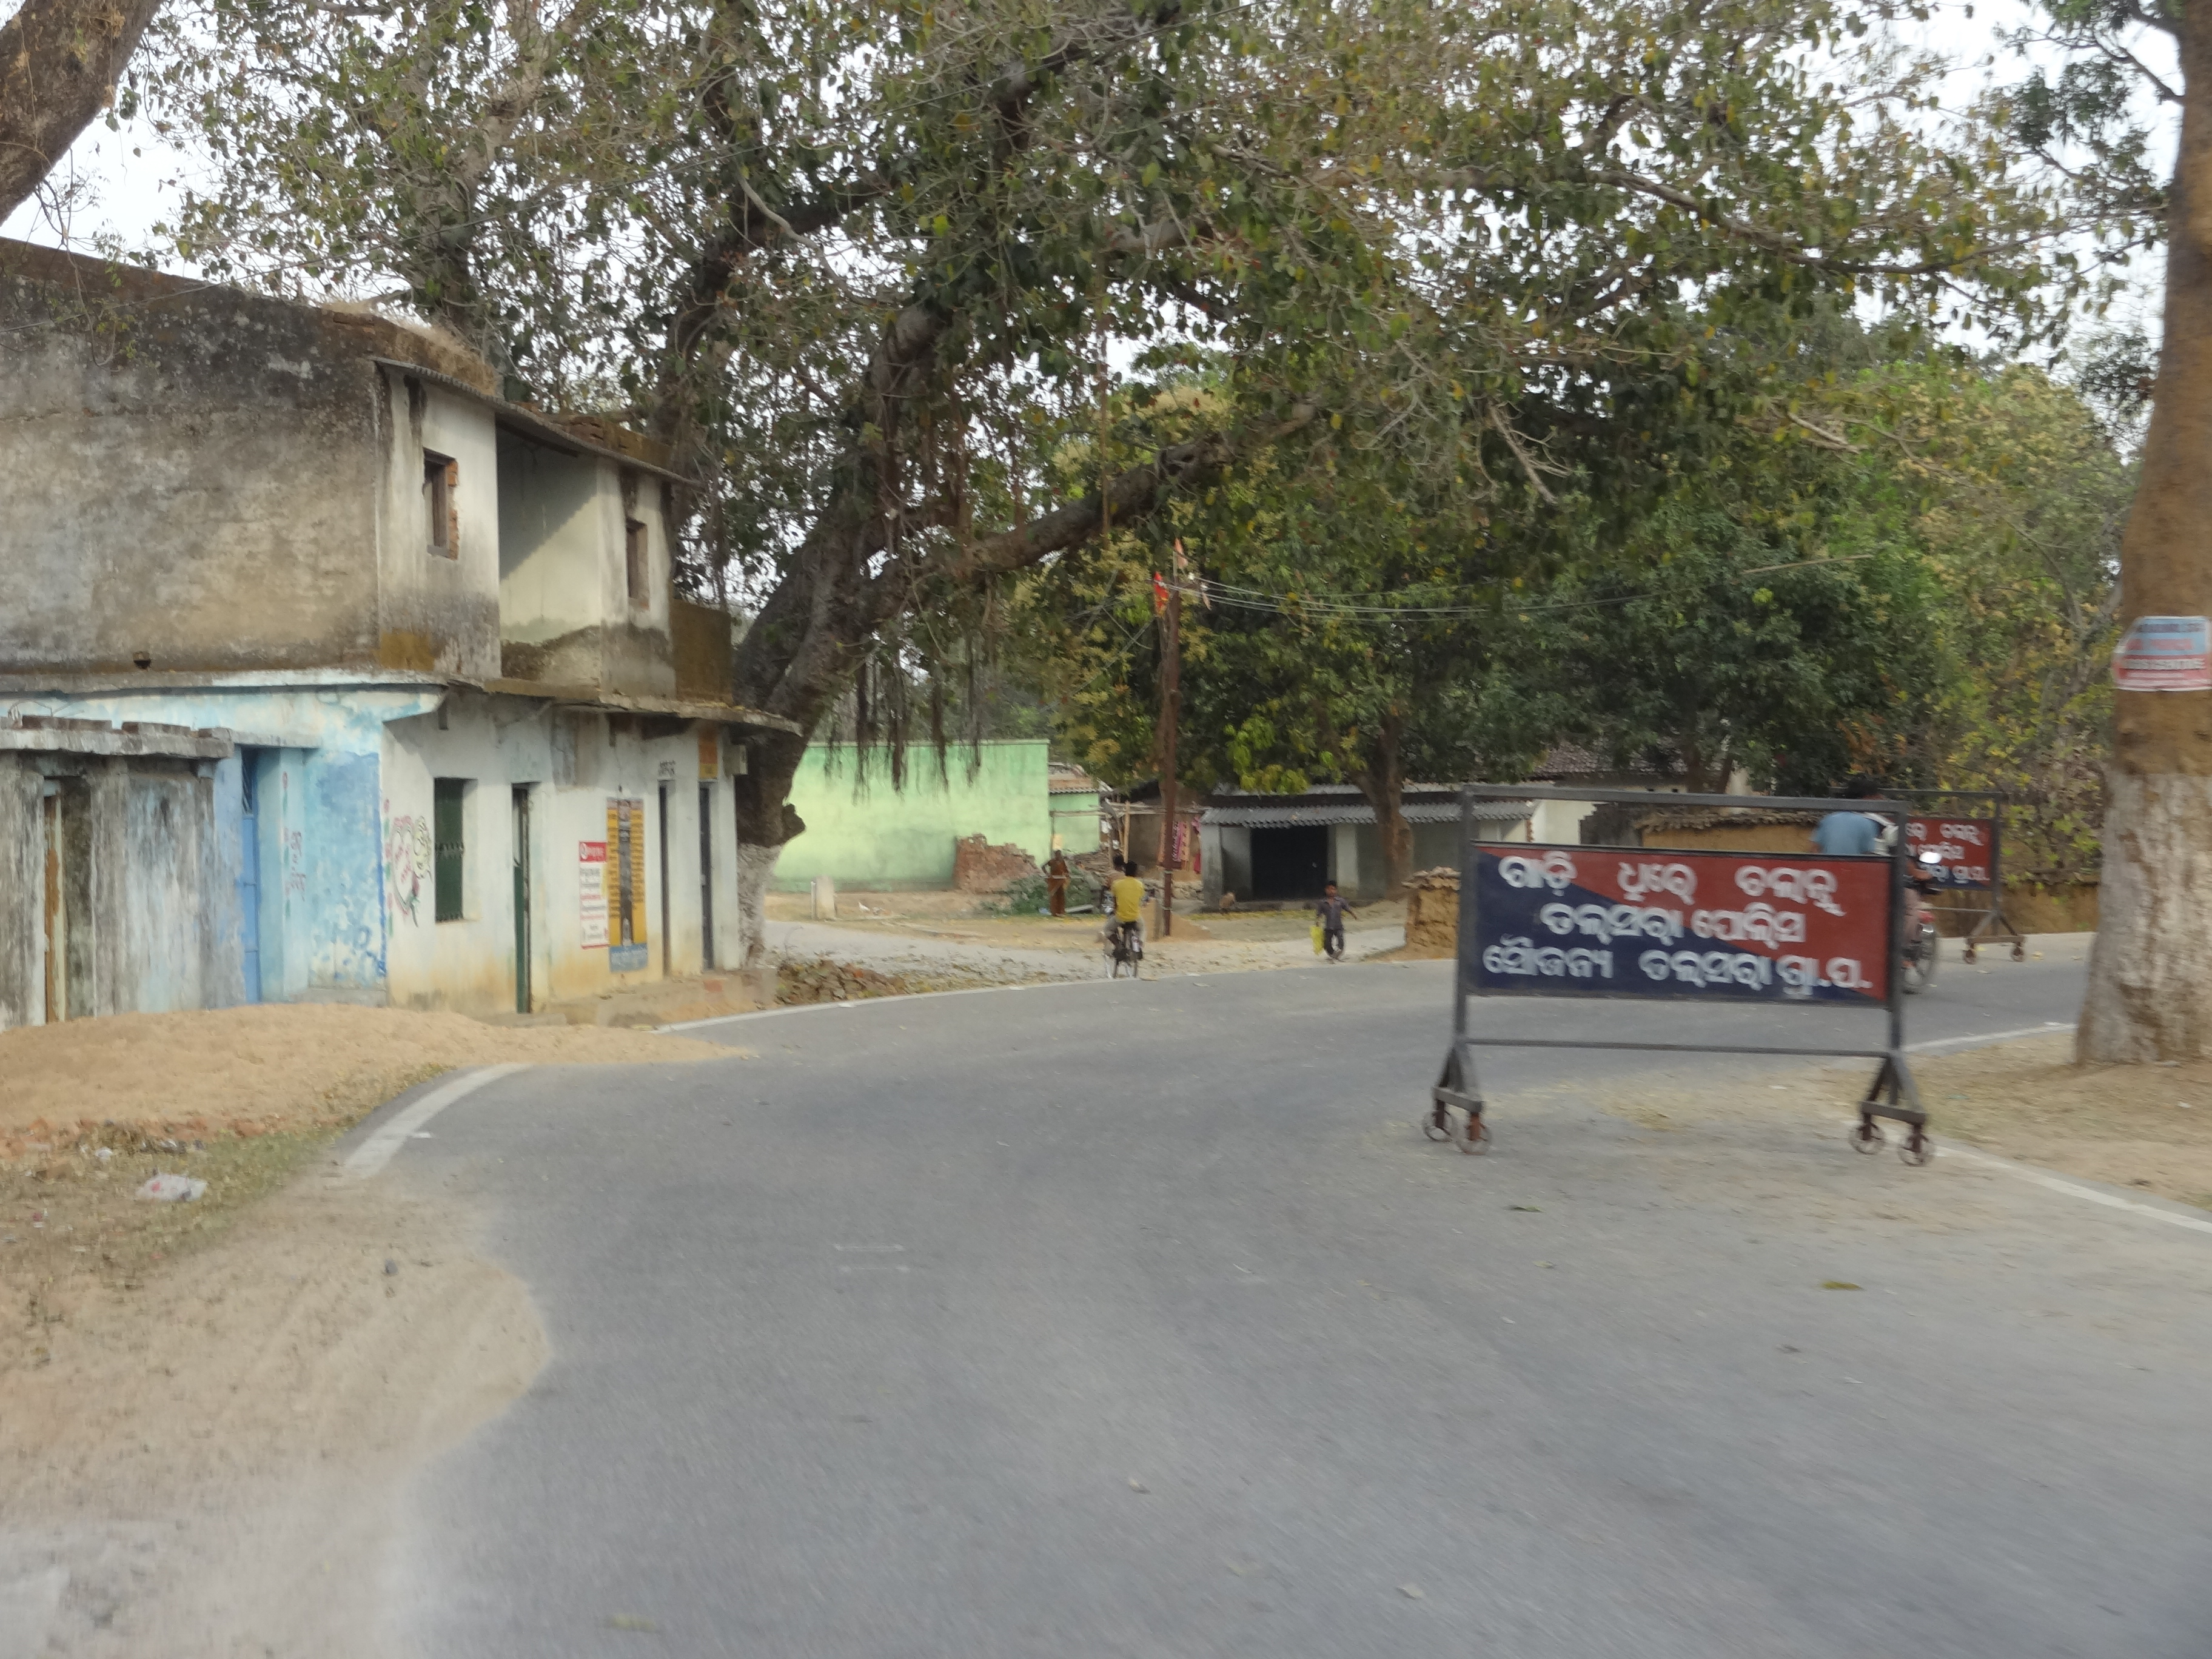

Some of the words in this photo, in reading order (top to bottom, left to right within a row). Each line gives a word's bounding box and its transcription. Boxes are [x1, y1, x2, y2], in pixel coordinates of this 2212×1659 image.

[1495, 844, 1585, 900] ଗାଡ଼ି
[1608, 856, 1704, 910] ଧ୍ଧରେ
[1729, 861, 1848, 920] ଚଲକୁ
[1534, 898, 1688, 949] ତଲସରା
[1686, 897, 1810, 953] ପୋଲିସ
[1480, 926, 1617, 983] ସୈଜବ୍ଯ
[1631, 946, 1876, 1002] ତକସରା ଗ୍ରା.ପ.